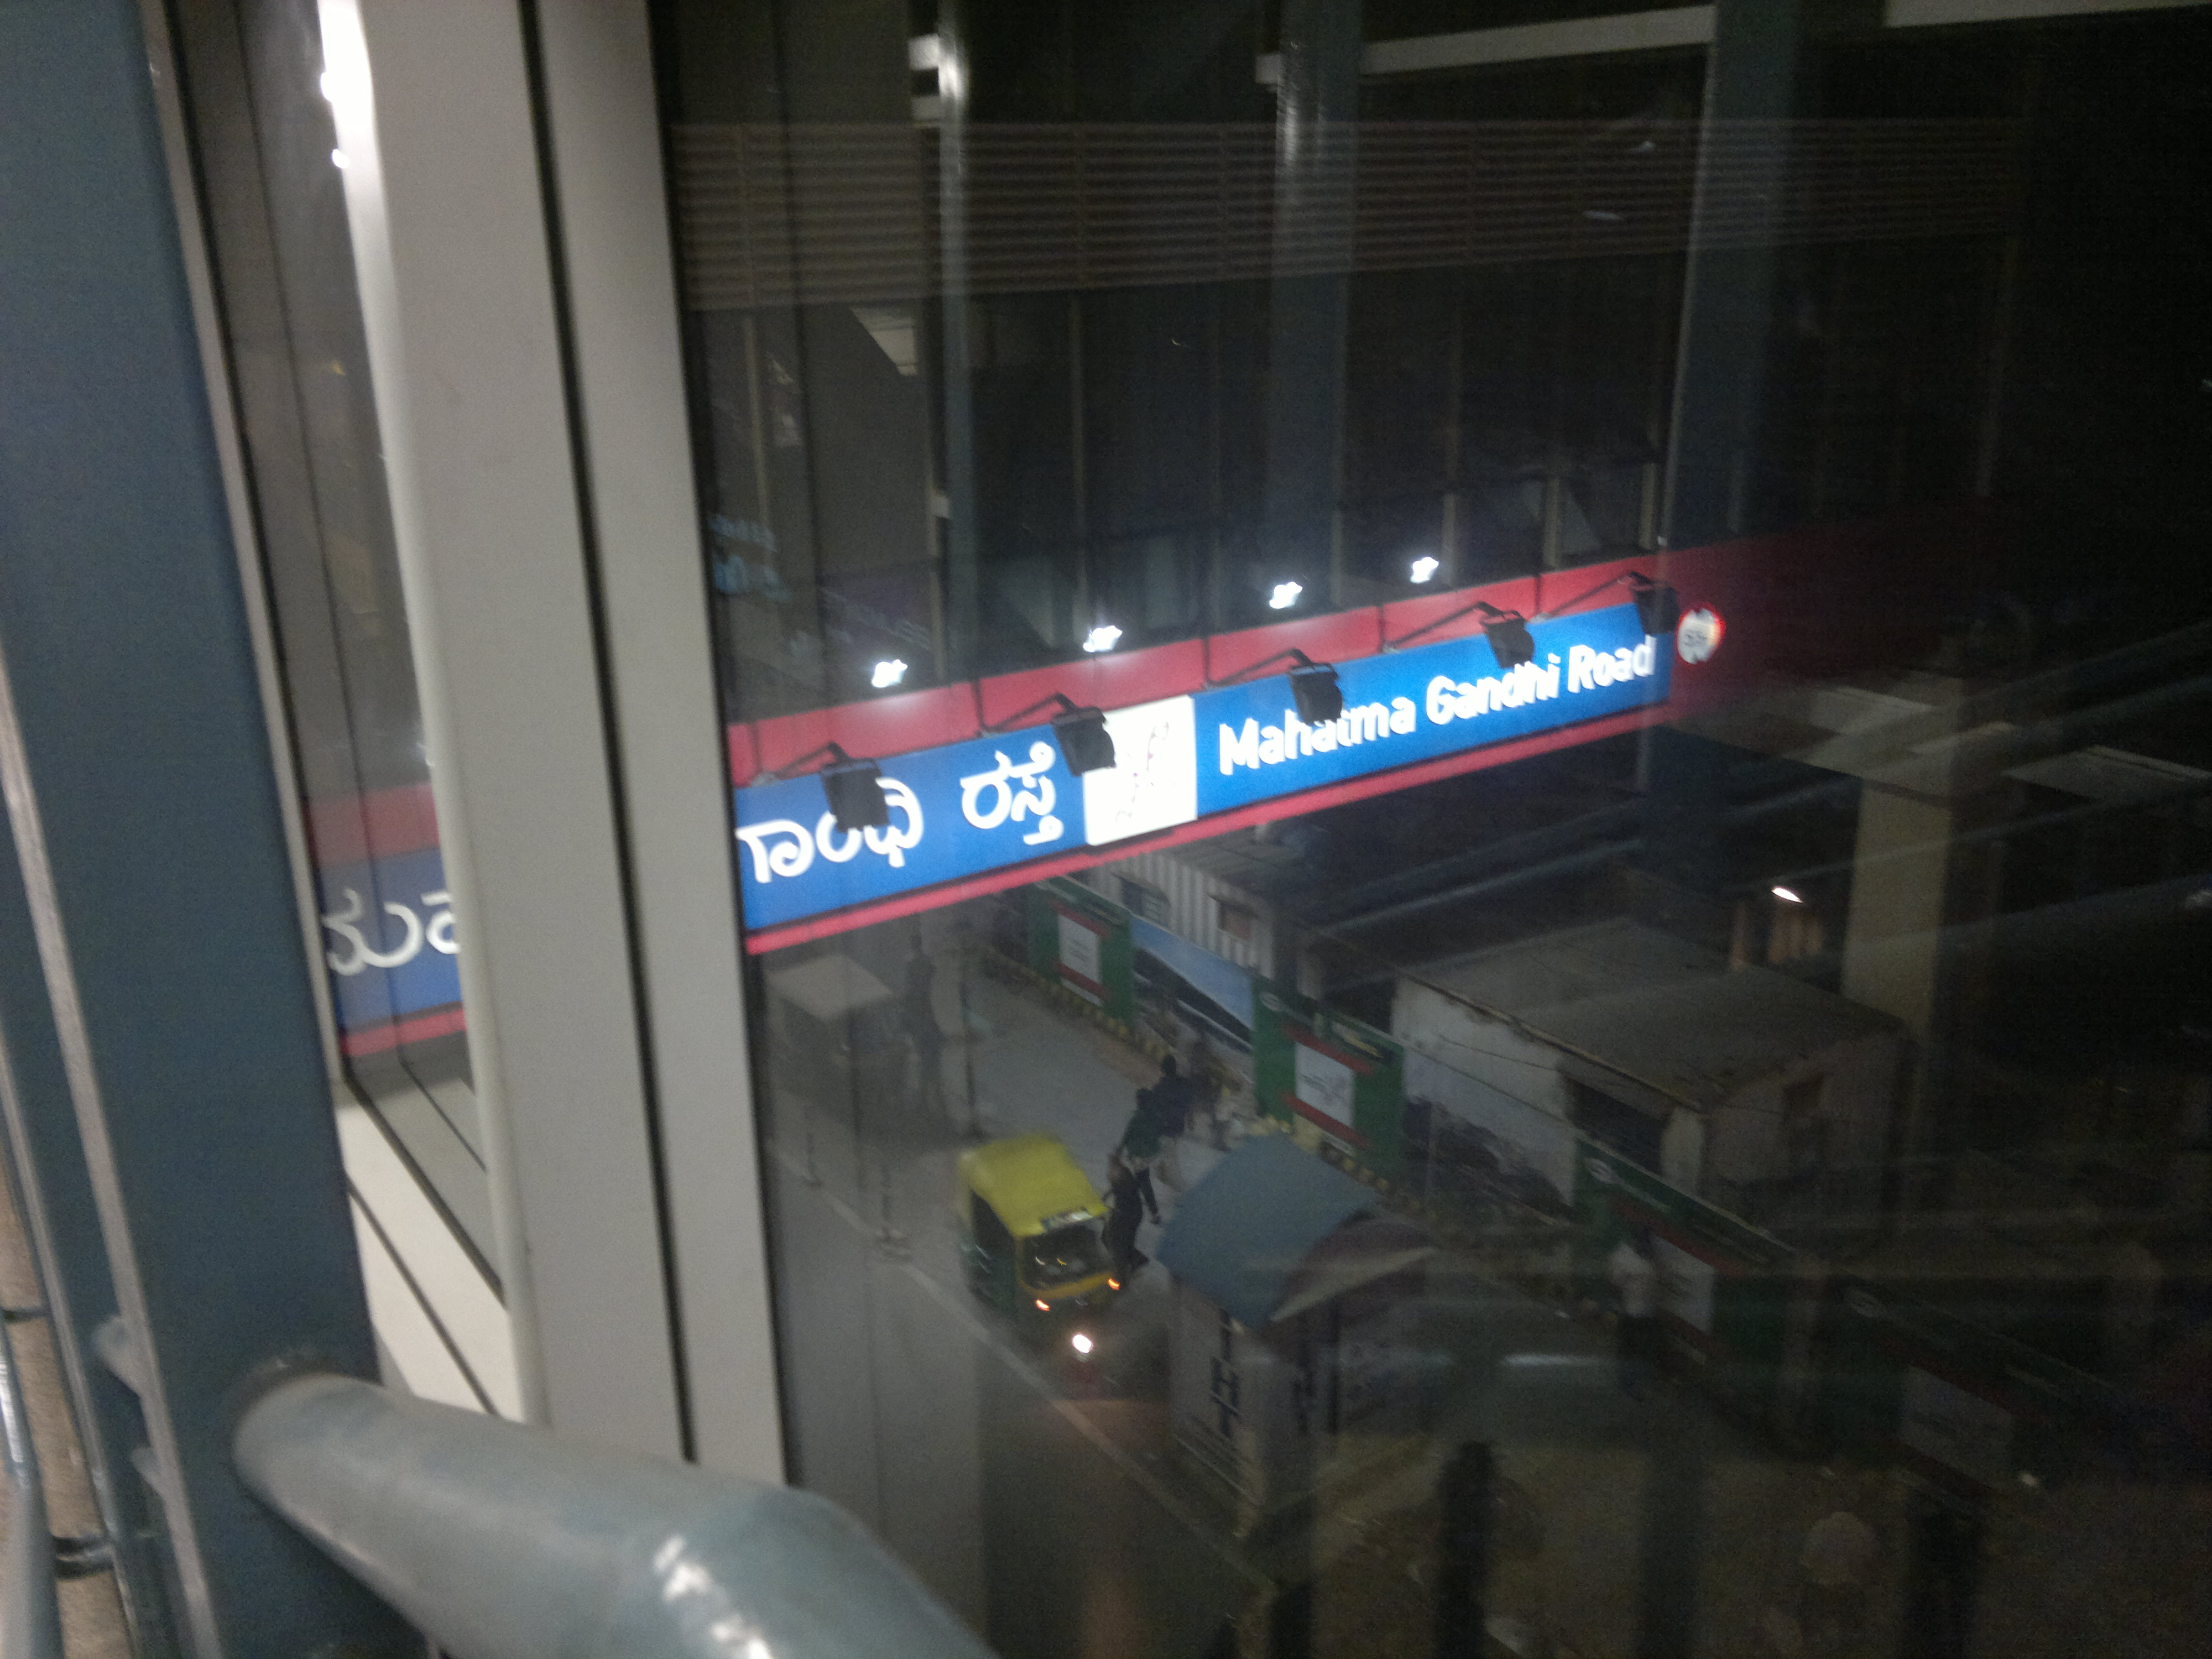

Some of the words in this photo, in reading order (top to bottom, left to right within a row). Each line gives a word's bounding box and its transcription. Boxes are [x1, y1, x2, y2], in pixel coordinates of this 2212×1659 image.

[1214, 687, 1423, 786] Mahatma
[1420, 644, 1569, 742] Gandhi
[1564, 627, 1666, 702] Road
[736, 773, 925, 893] ಗಾಂಧಿ
[956, 731, 1072, 855] ರಸ್ತ